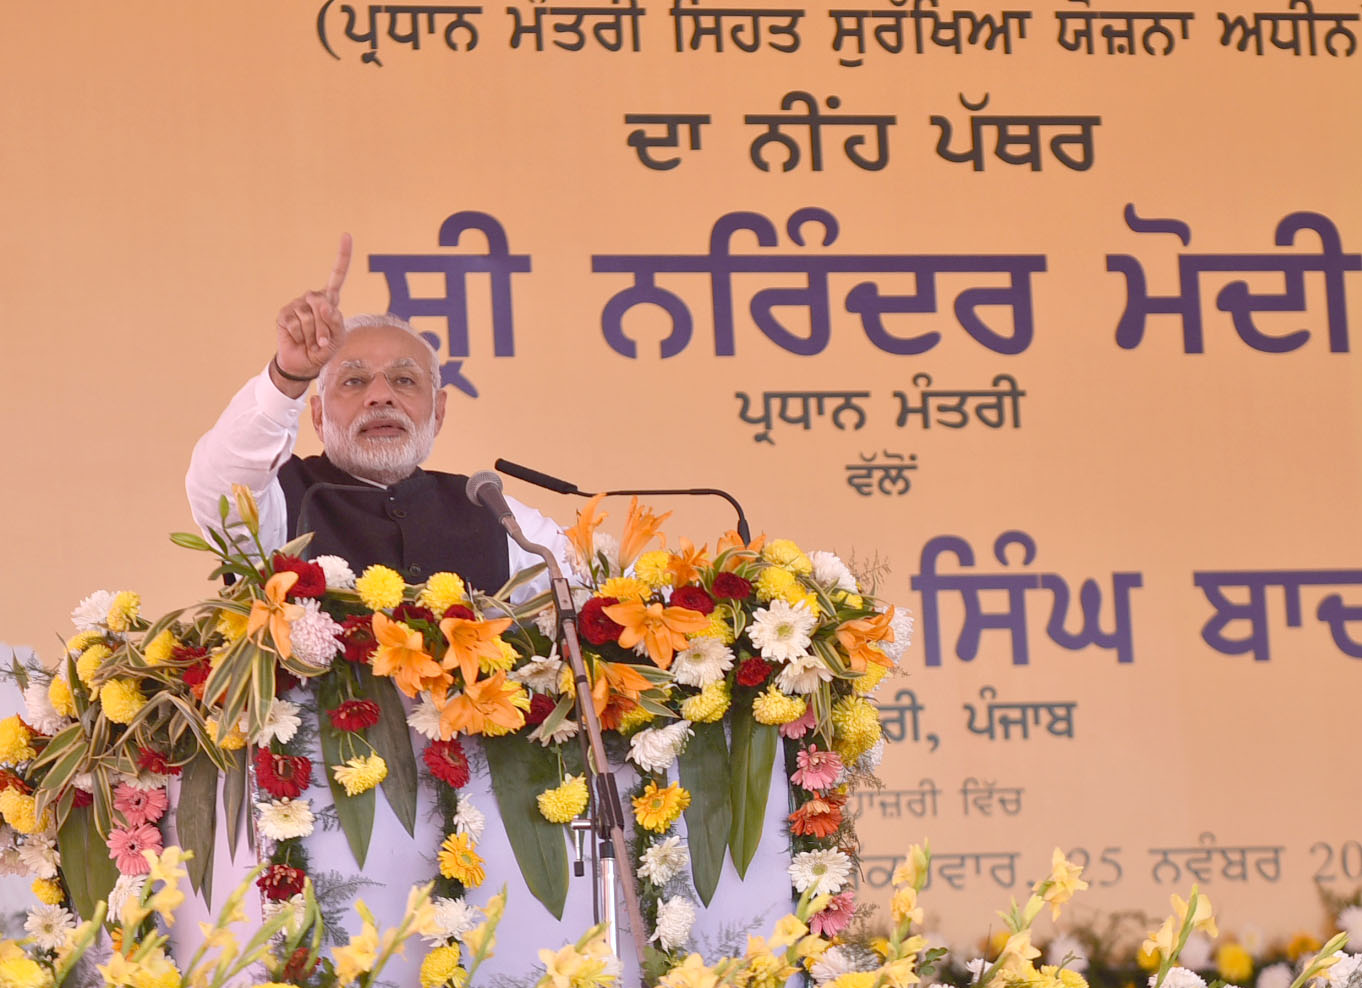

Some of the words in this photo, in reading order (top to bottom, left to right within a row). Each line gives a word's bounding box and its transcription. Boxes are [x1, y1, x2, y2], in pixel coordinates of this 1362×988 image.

[333, 0, 490, 81] ਪ੍ਰਧਾਨ
[489, 0, 658, 62] ਮੰਤਰੀ
[657, 0, 816, 69] ਸਿਹਤ
[816, 0, 1039, 80] ਸੁਰਖਿਆ
[1045, 0, 1204, 72] ਯਜ਼ਨਾ
[1204, 0, 1362, 69] ਅਧੀਨ
[609, 95, 726, 190] ਦਾ
[736, 80, 904, 187] ਨੀਂਹ
[917, 78, 1117, 190] ਪੱਥਰ
[356, 190, 560, 407] ਸ਼੍ਰੀ
[564, 192, 1068, 379] ਨਰਿੰਦਰ
[1082, 179, 1360, 380] ਮੋਦੀ
[719, 376, 878, 460] ਪ੍ਰਧਾਨ
[883, 365, 1042, 444] ਮੰਤਰੀ
[825, 441, 939, 515] ਵੱਲੋਂ
[894, 519, 1162, 680] ਸਿੰਘ
[1169, 557, 1362, 684] ਬਾਦ
[871, 683, 931, 750] ਰੀ
[945, 677, 1091, 754] ਪੰਜਾਬ
[949, 767, 1042, 832] ਵਿੱਚ
[930, 838, 1029, 907] ਵਾਰ
[1050, 836, 1137, 903] 25
[1136, 822, 1298, 906] ਨਵੰਬਰ
[1304, 823, 1361, 893] 20